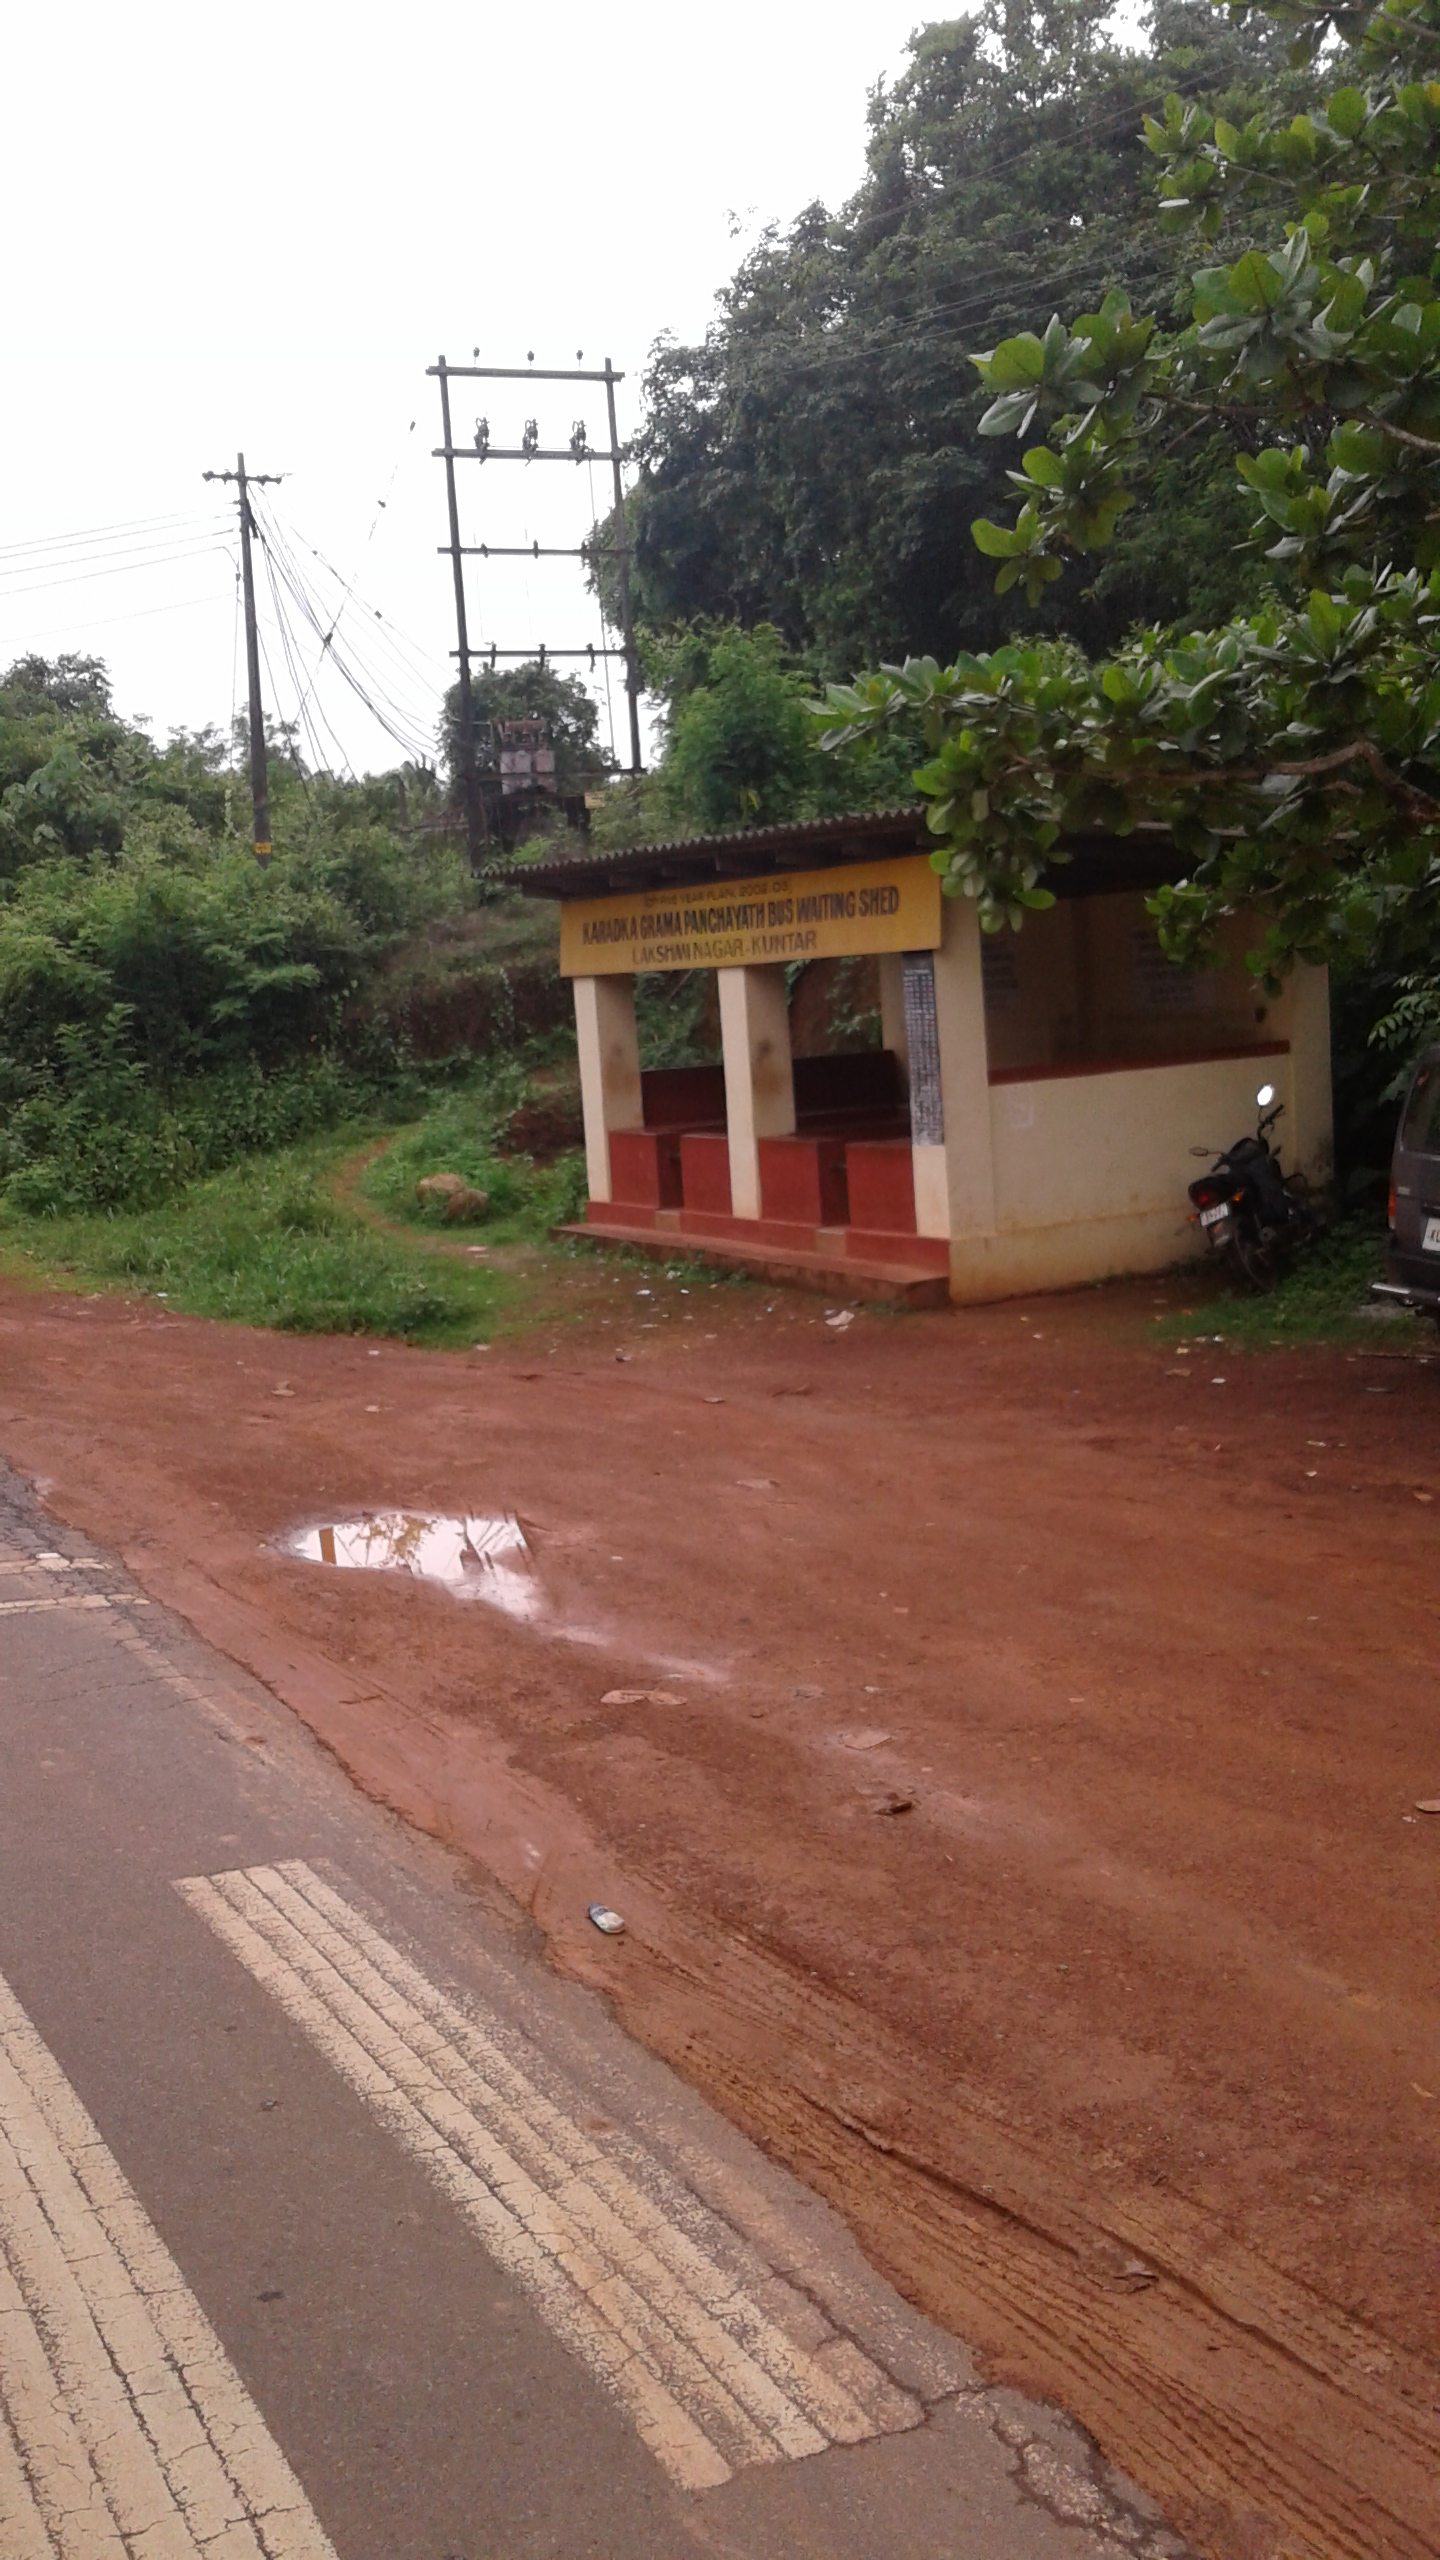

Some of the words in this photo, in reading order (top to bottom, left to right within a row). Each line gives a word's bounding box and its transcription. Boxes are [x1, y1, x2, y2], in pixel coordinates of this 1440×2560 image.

[571, 906, 639, 952] KARADKA
[636, 903, 684, 947] GRAMA
[623, 930, 749, 969] LAKSHMINAGAR
[675, 897, 767, 941] APANCHAYATH
[760, 893, 797, 933] BUS
[743, 927, 824, 961] KUNTAR
[791, 887, 857, 929] WAITING
[851, 882, 903, 926] SHED